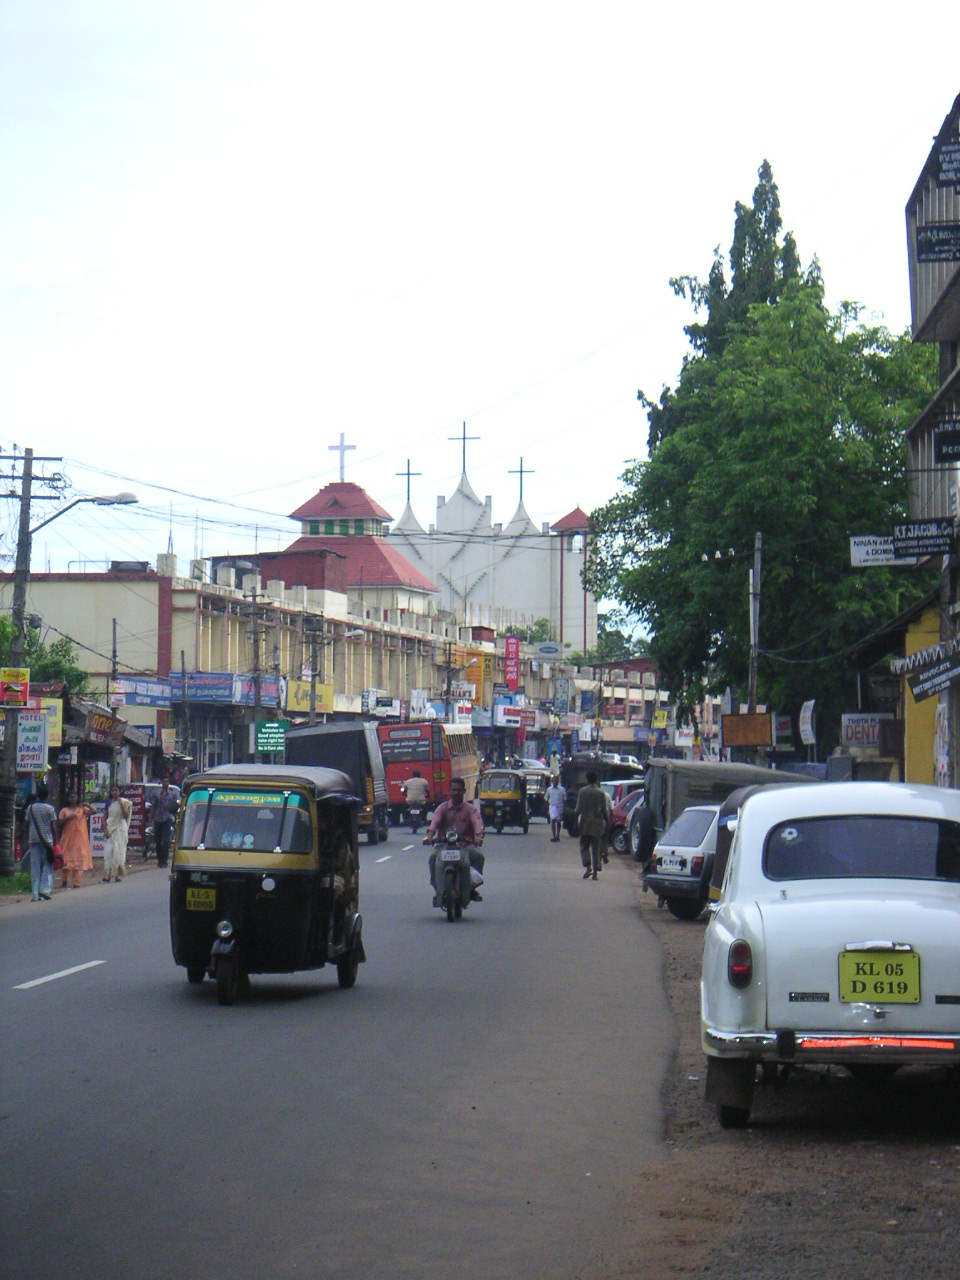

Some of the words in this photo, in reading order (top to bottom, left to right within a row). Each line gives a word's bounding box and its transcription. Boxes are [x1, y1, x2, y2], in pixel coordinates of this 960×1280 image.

[13, 713, 45, 725] HOTEL
[839, 721, 879, 744] DENT
[14, 760, 47, 773] FAST FOOD
[850, 956, 885, 981] KL
[881, 957, 908, 977] 05
[845, 976, 911, 997] D619